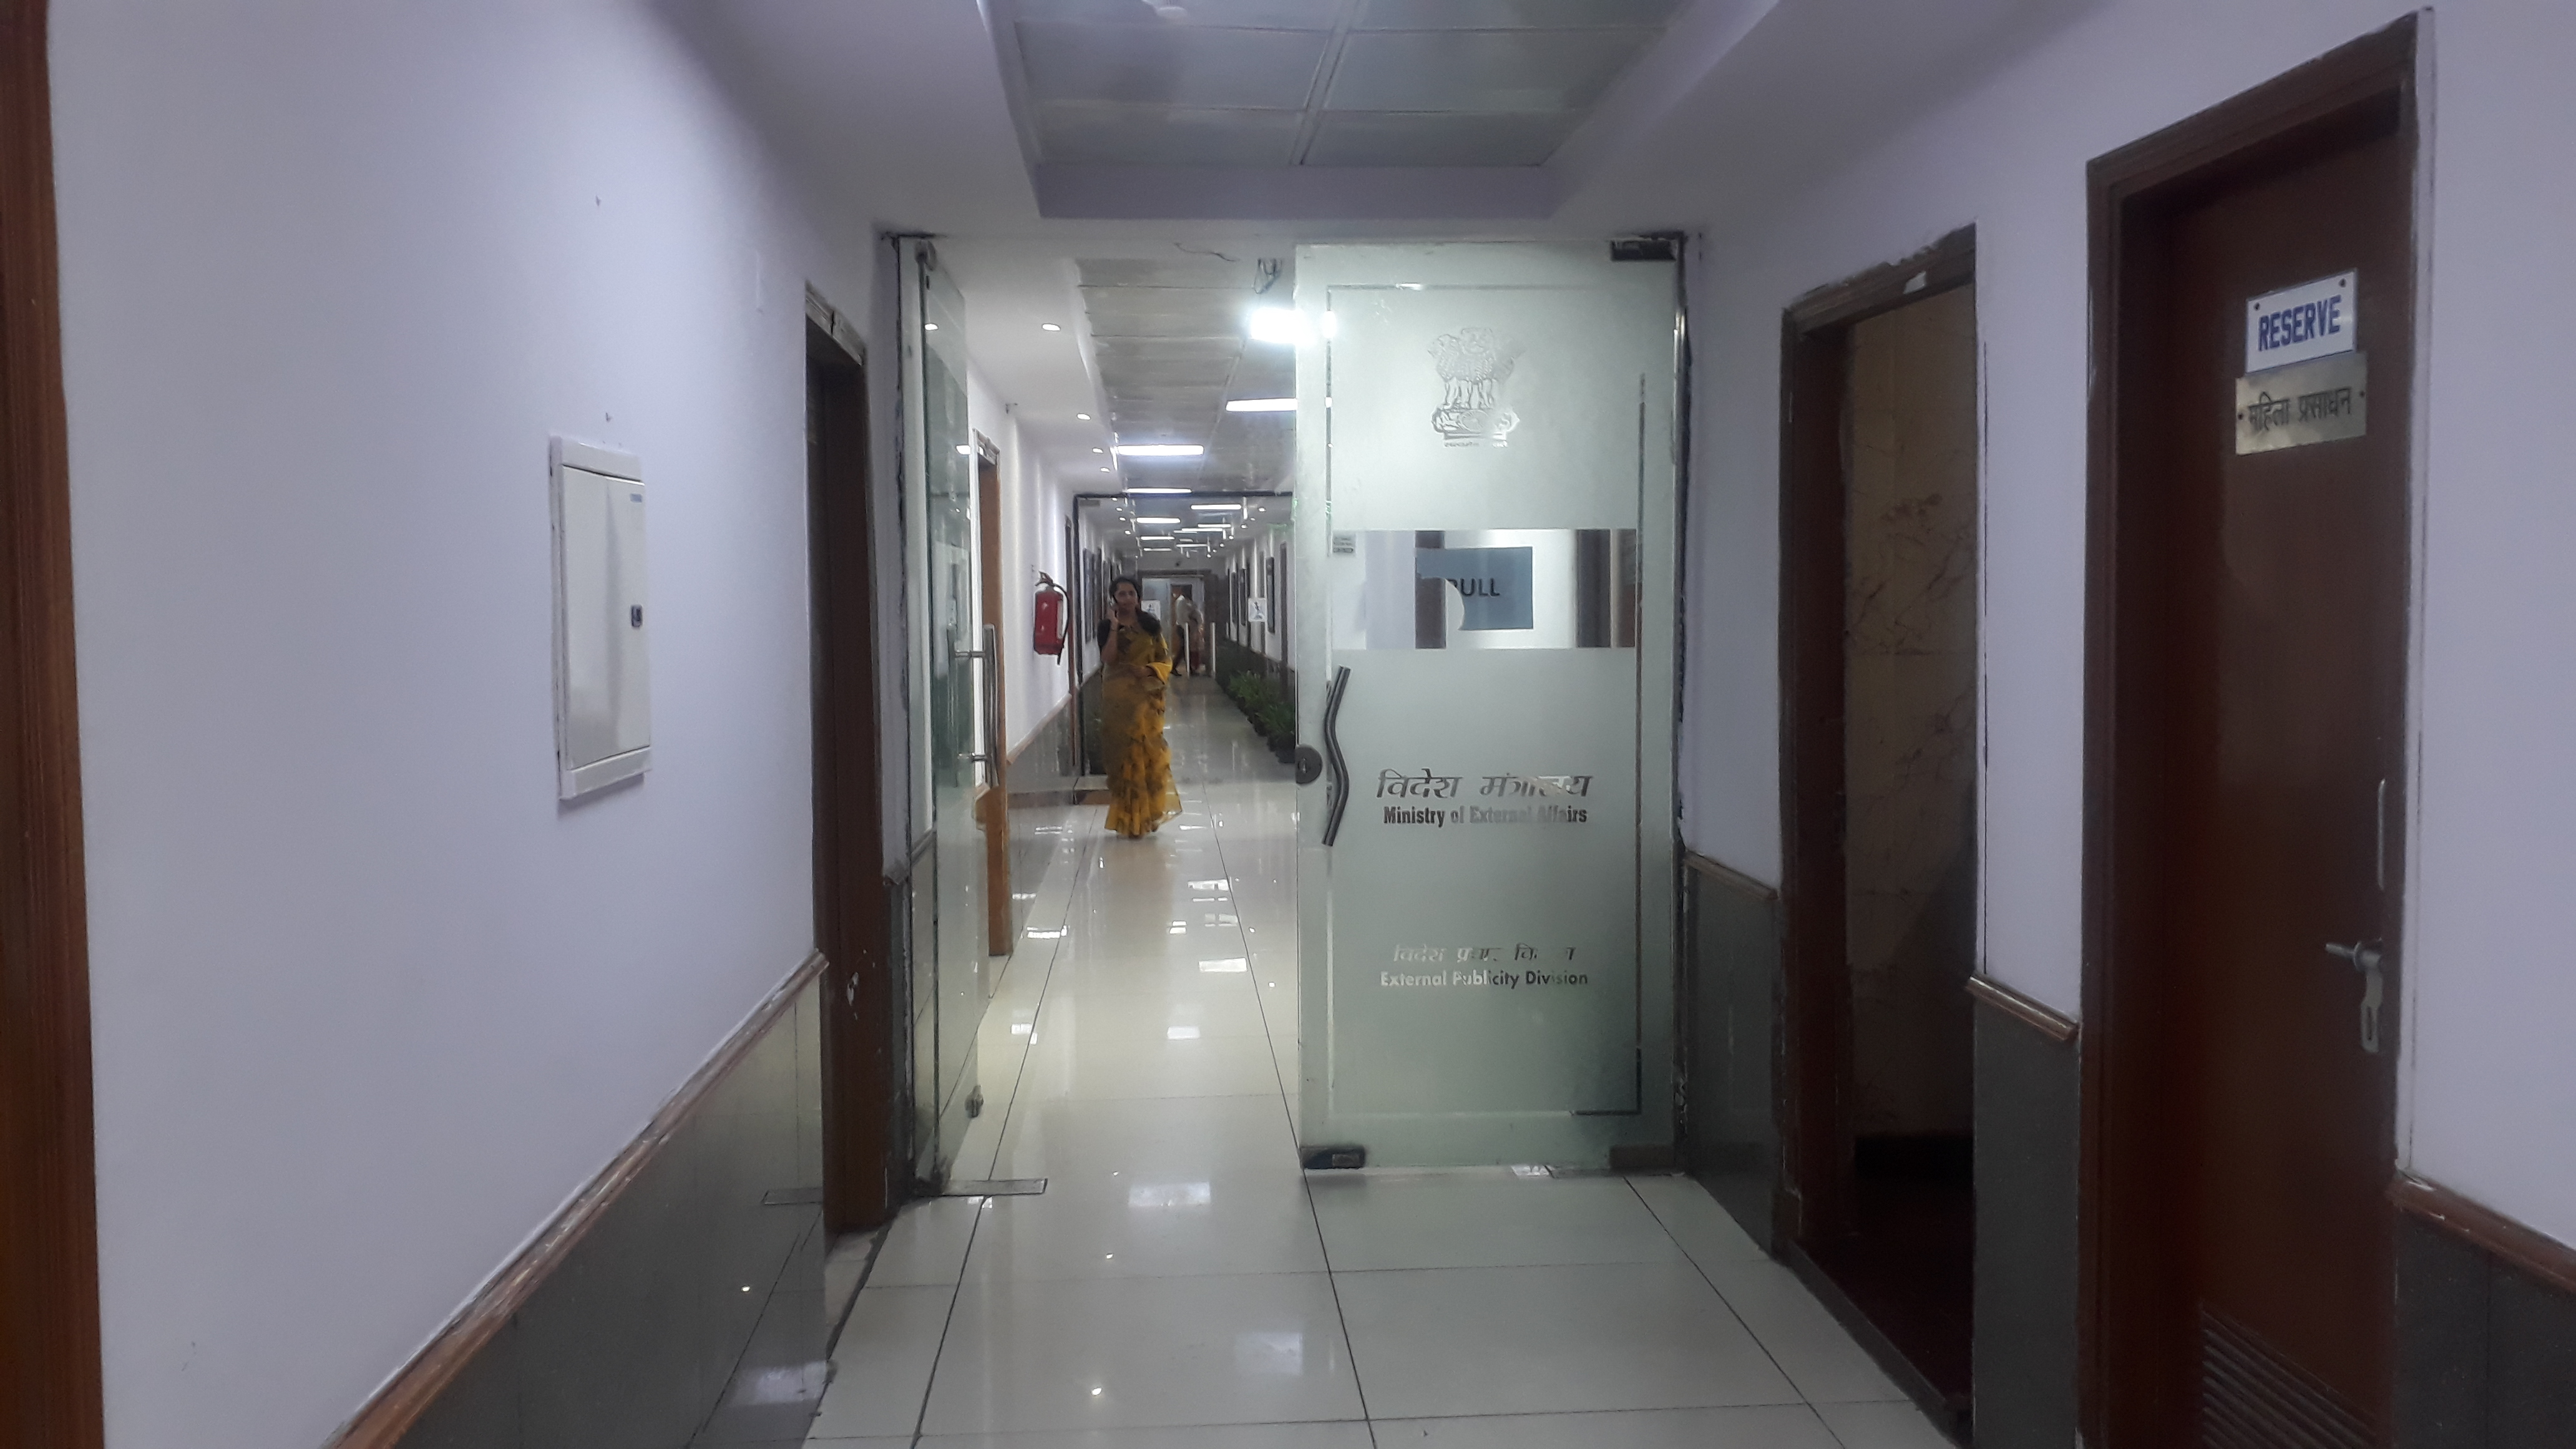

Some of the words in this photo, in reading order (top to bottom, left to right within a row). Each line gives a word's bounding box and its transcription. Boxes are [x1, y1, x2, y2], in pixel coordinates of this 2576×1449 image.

[2246, 283, 2350, 360] RESERVE
[2243, 386, 2294, 441] महिला
[2295, 382, 2361, 431] प्रसाधन
[1368, 760, 1463, 809] विदेश
[1470, 768, 1593, 801] मंत्रालय
[1374, 801, 1453, 833] Ministry
[1447, 801, 1467, 828] of
[1467, 802, 1589, 827] ExternalAffairs
[1390, 939, 1448, 964] विदेश
[1454, 945, 1503, 965] प्र
[1376, 968, 1451, 989] External
[1448, 967, 1521, 990] Publicity
[1520, 967, 1591, 988] Division